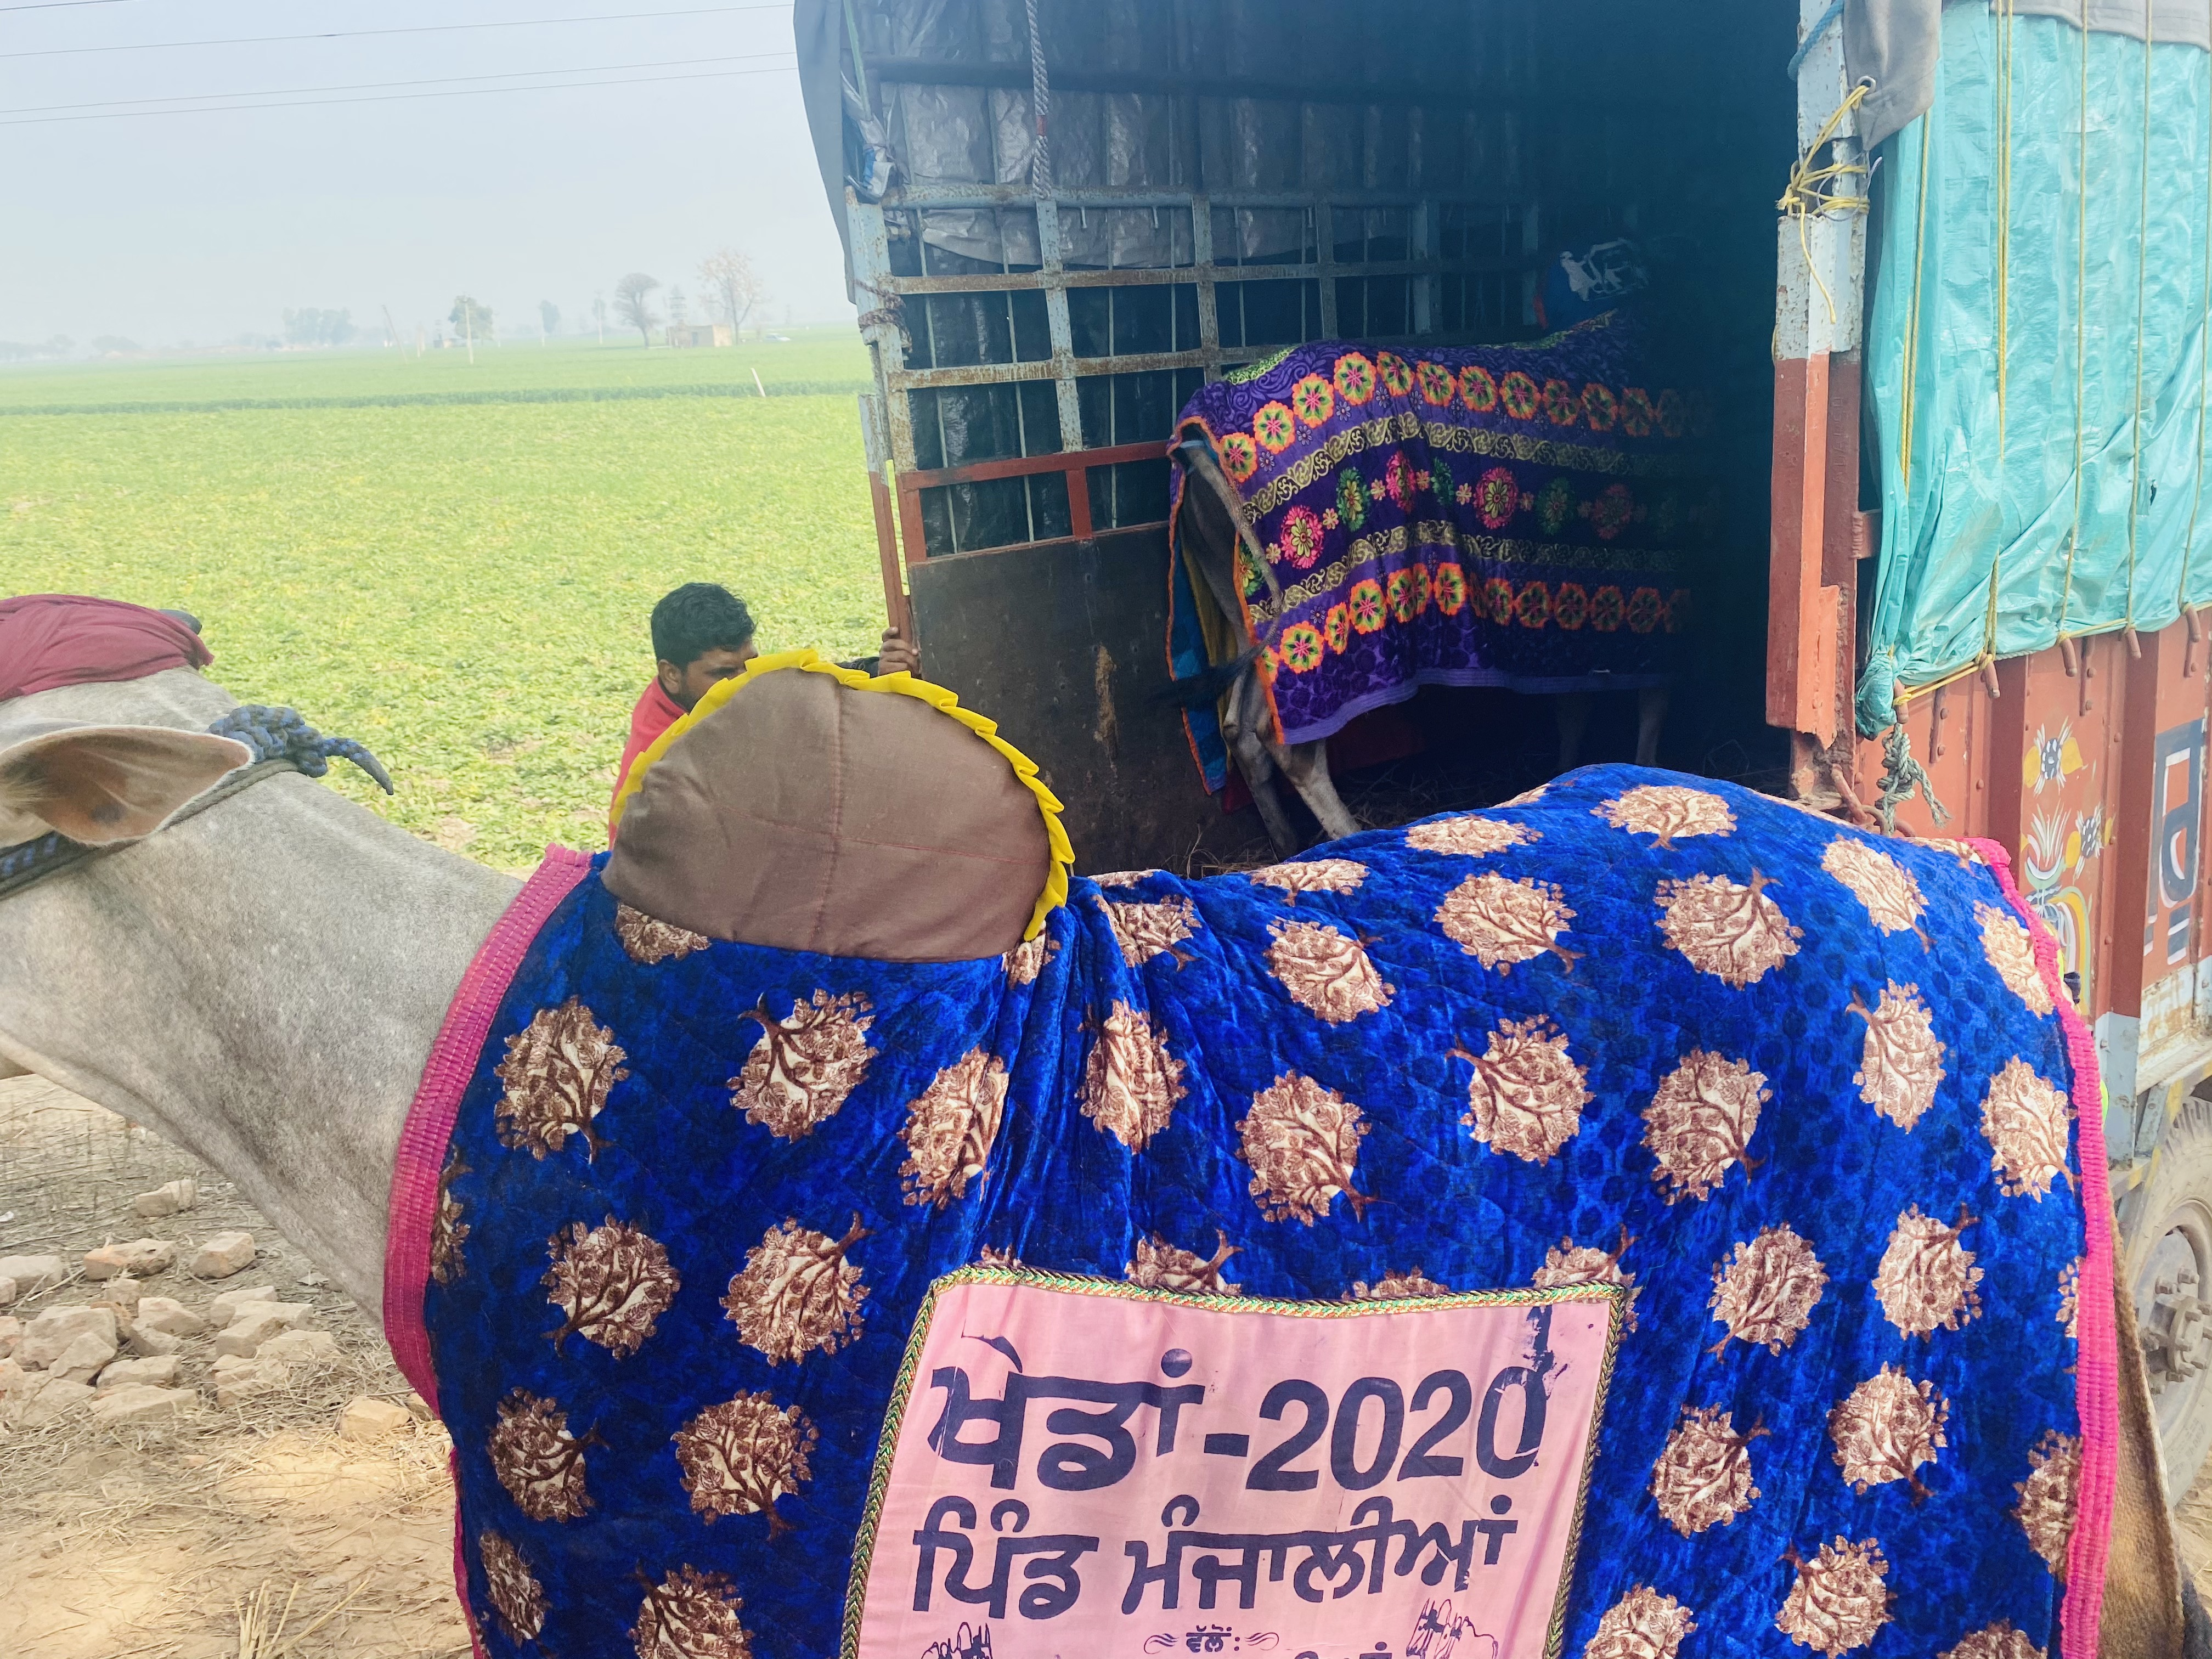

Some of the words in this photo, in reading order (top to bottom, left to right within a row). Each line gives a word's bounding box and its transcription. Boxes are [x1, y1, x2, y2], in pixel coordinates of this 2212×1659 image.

[915, 1302, 1214, 1503] ਖੇਡਾਂ
[1241, 1354, 1558, 1498] 2020
[889, 1486, 1120, 1632] ਪਿੰਡ
[1111, 1487, 1537, 1626] ਮੰਜਾਲੀਆਂ
[1178, 1616, 1239, 1657] ਵੱਲੋਂ